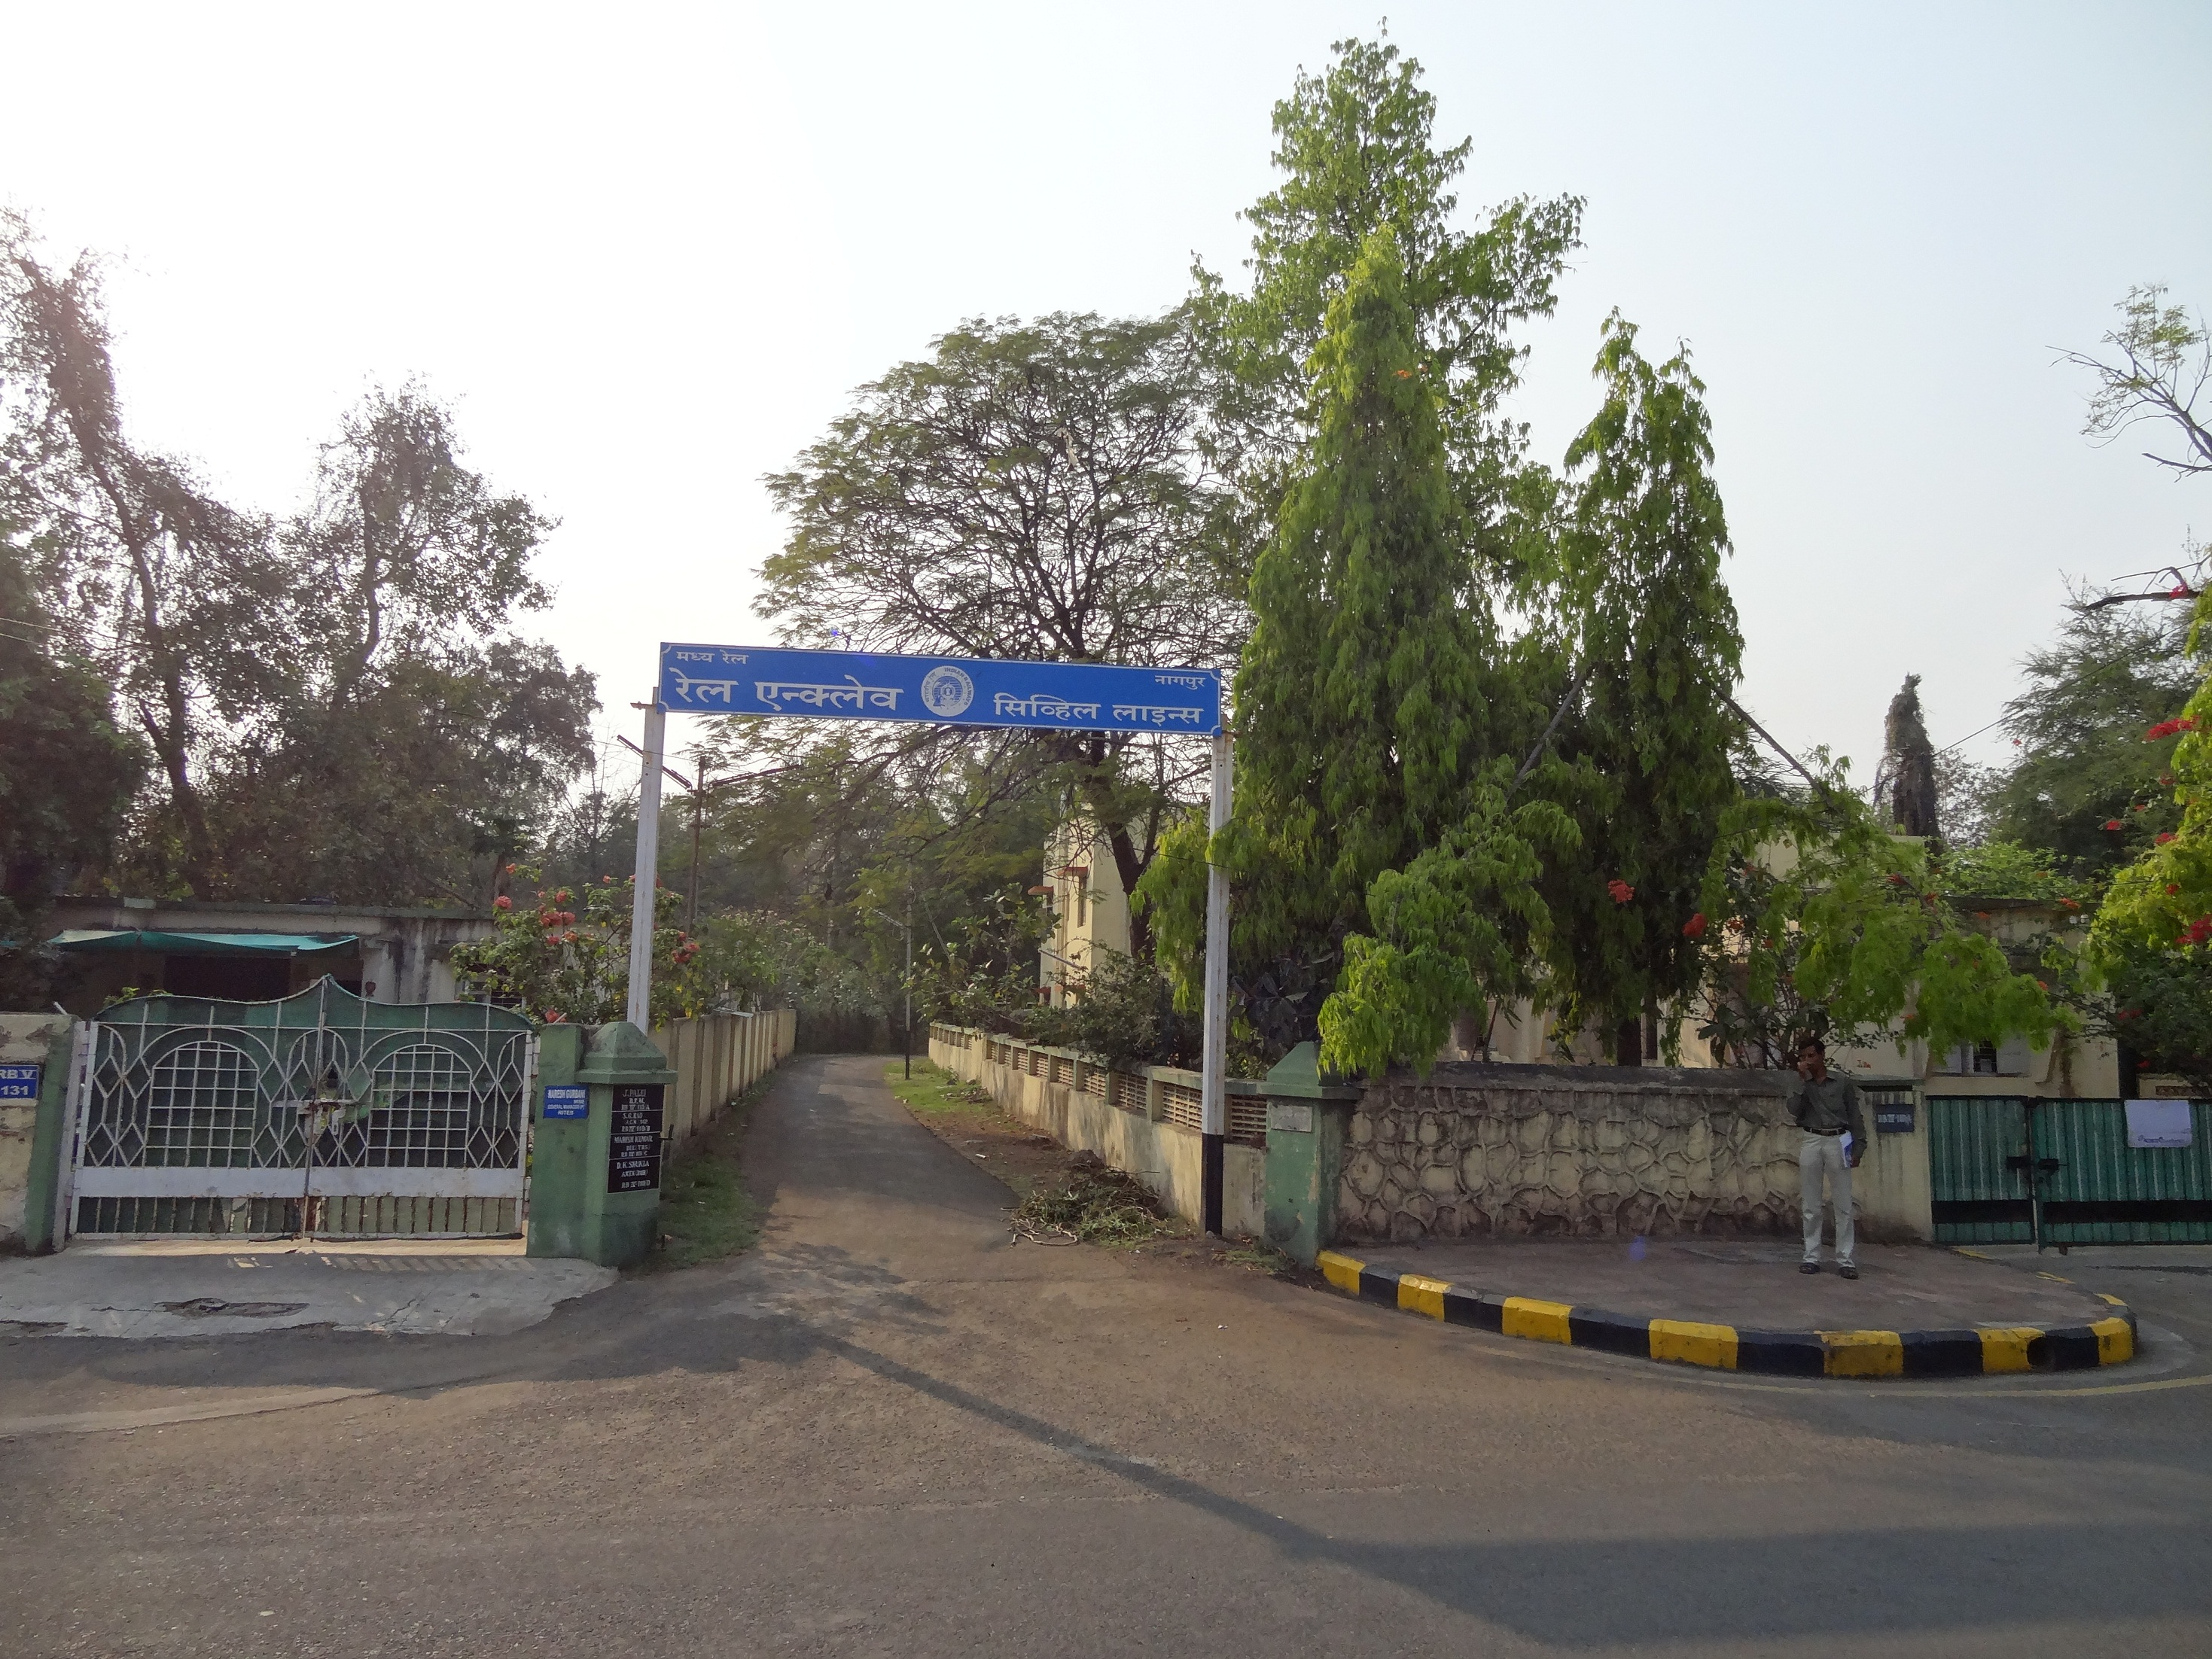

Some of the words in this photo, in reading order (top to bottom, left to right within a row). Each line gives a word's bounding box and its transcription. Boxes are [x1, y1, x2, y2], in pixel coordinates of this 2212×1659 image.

[671, 644, 718, 668] मध्य
[713, 645, 758, 670] रेल
[664, 661, 737, 707] रेल
[754, 669, 906, 716] एन्क्लेव
[985, 688, 1101, 726] सिव्हिल
[1108, 699, 1208, 732] लाइन्स
[1152, 669, 1208, 697] नागपुर